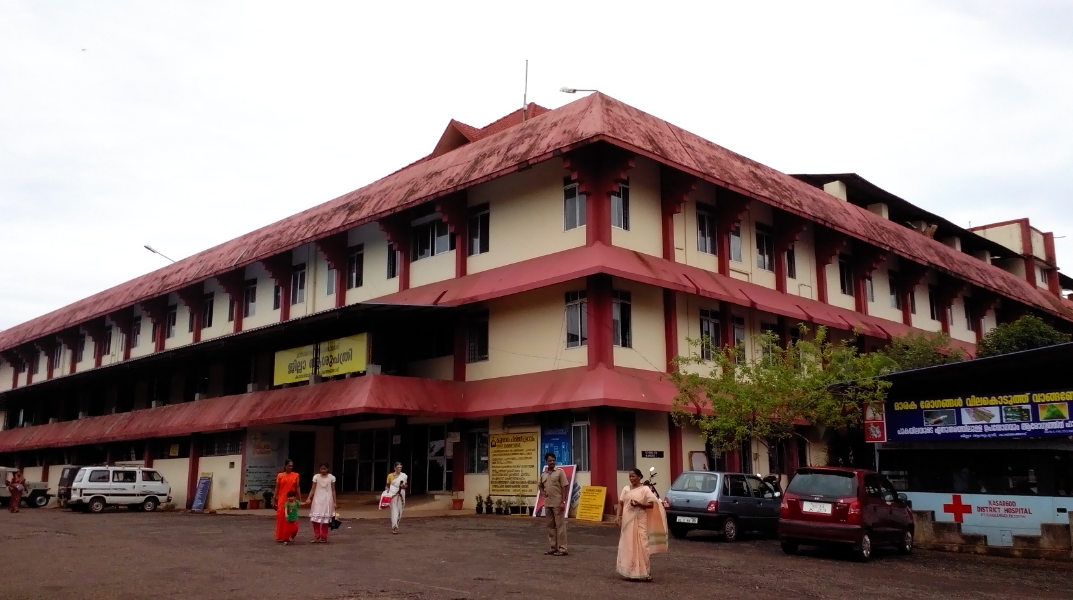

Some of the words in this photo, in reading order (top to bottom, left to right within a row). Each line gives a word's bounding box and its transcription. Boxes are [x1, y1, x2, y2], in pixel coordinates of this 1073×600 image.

[275, 352, 310, 377] ജില്ലാ
[303, 342, 357, 374] വടശുപത്രി
[887, 397, 922, 417] മാരക
[917, 389, 967, 411] രോഗങ്ങൾ
[959, 387, 1034, 411] വിലകൊടുത്ത്
[1030, 385, 1073, 405] വാങ്ങളേ
[891, 419, 937, 437] പാകയിലയുടെ
[933, 419, 985, 438] എനാതരത്തിലുള്ള
[980, 417, 1023, 435] ഉപയോഗവും
[1017, 415, 1069, 435] ആരോഗ്യത്തിൻ
[972, 503, 1004, 516] DISTRICT
[983, 495, 1020, 509] KASARGOD
[1001, 503, 1036, 518] HOSPITAL